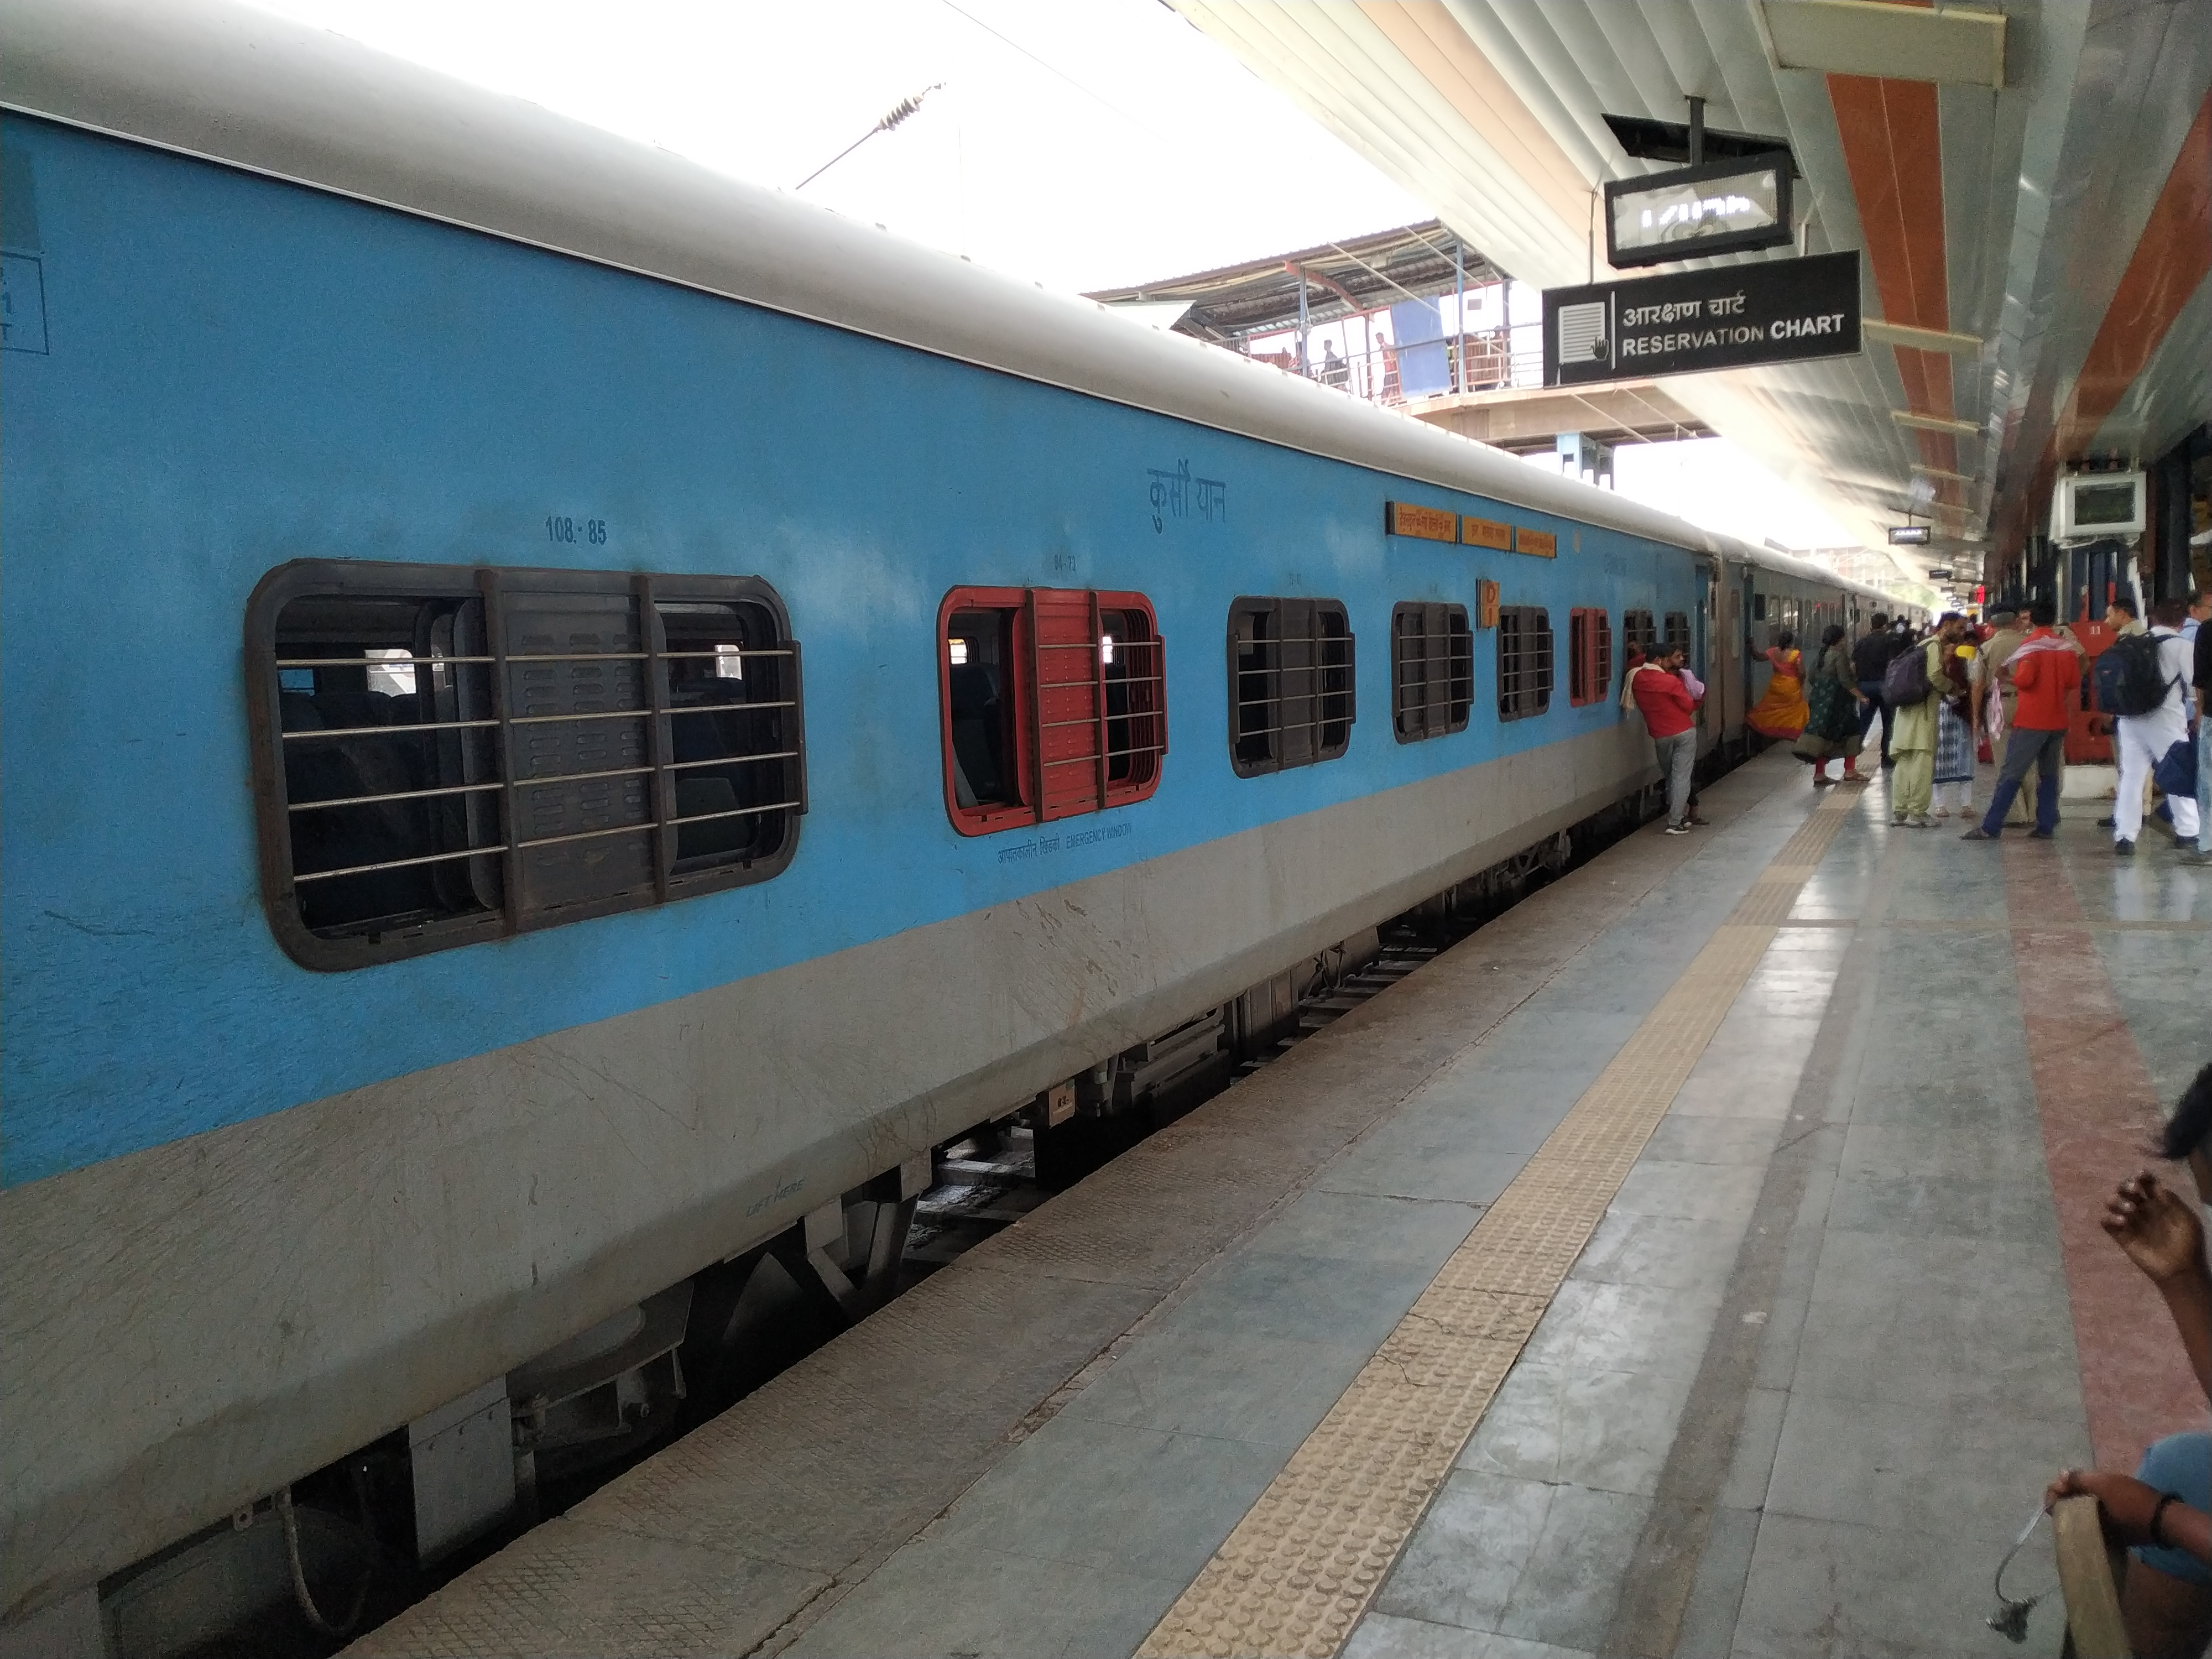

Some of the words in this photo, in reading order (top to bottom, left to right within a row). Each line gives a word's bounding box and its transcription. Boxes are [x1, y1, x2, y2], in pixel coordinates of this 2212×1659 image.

[1623, 299, 1702, 327] आरक्षण
[1623, 324, 1765, 356] RESERVATION
[1707, 288, 1747, 319] चार्ट
[1770, 311, 1846, 341] CHART
[1146, 456, 1194, 536] कुर्सी
[1193, 476, 1228, 524] यान
[544, 514, 609, 548] 108-85